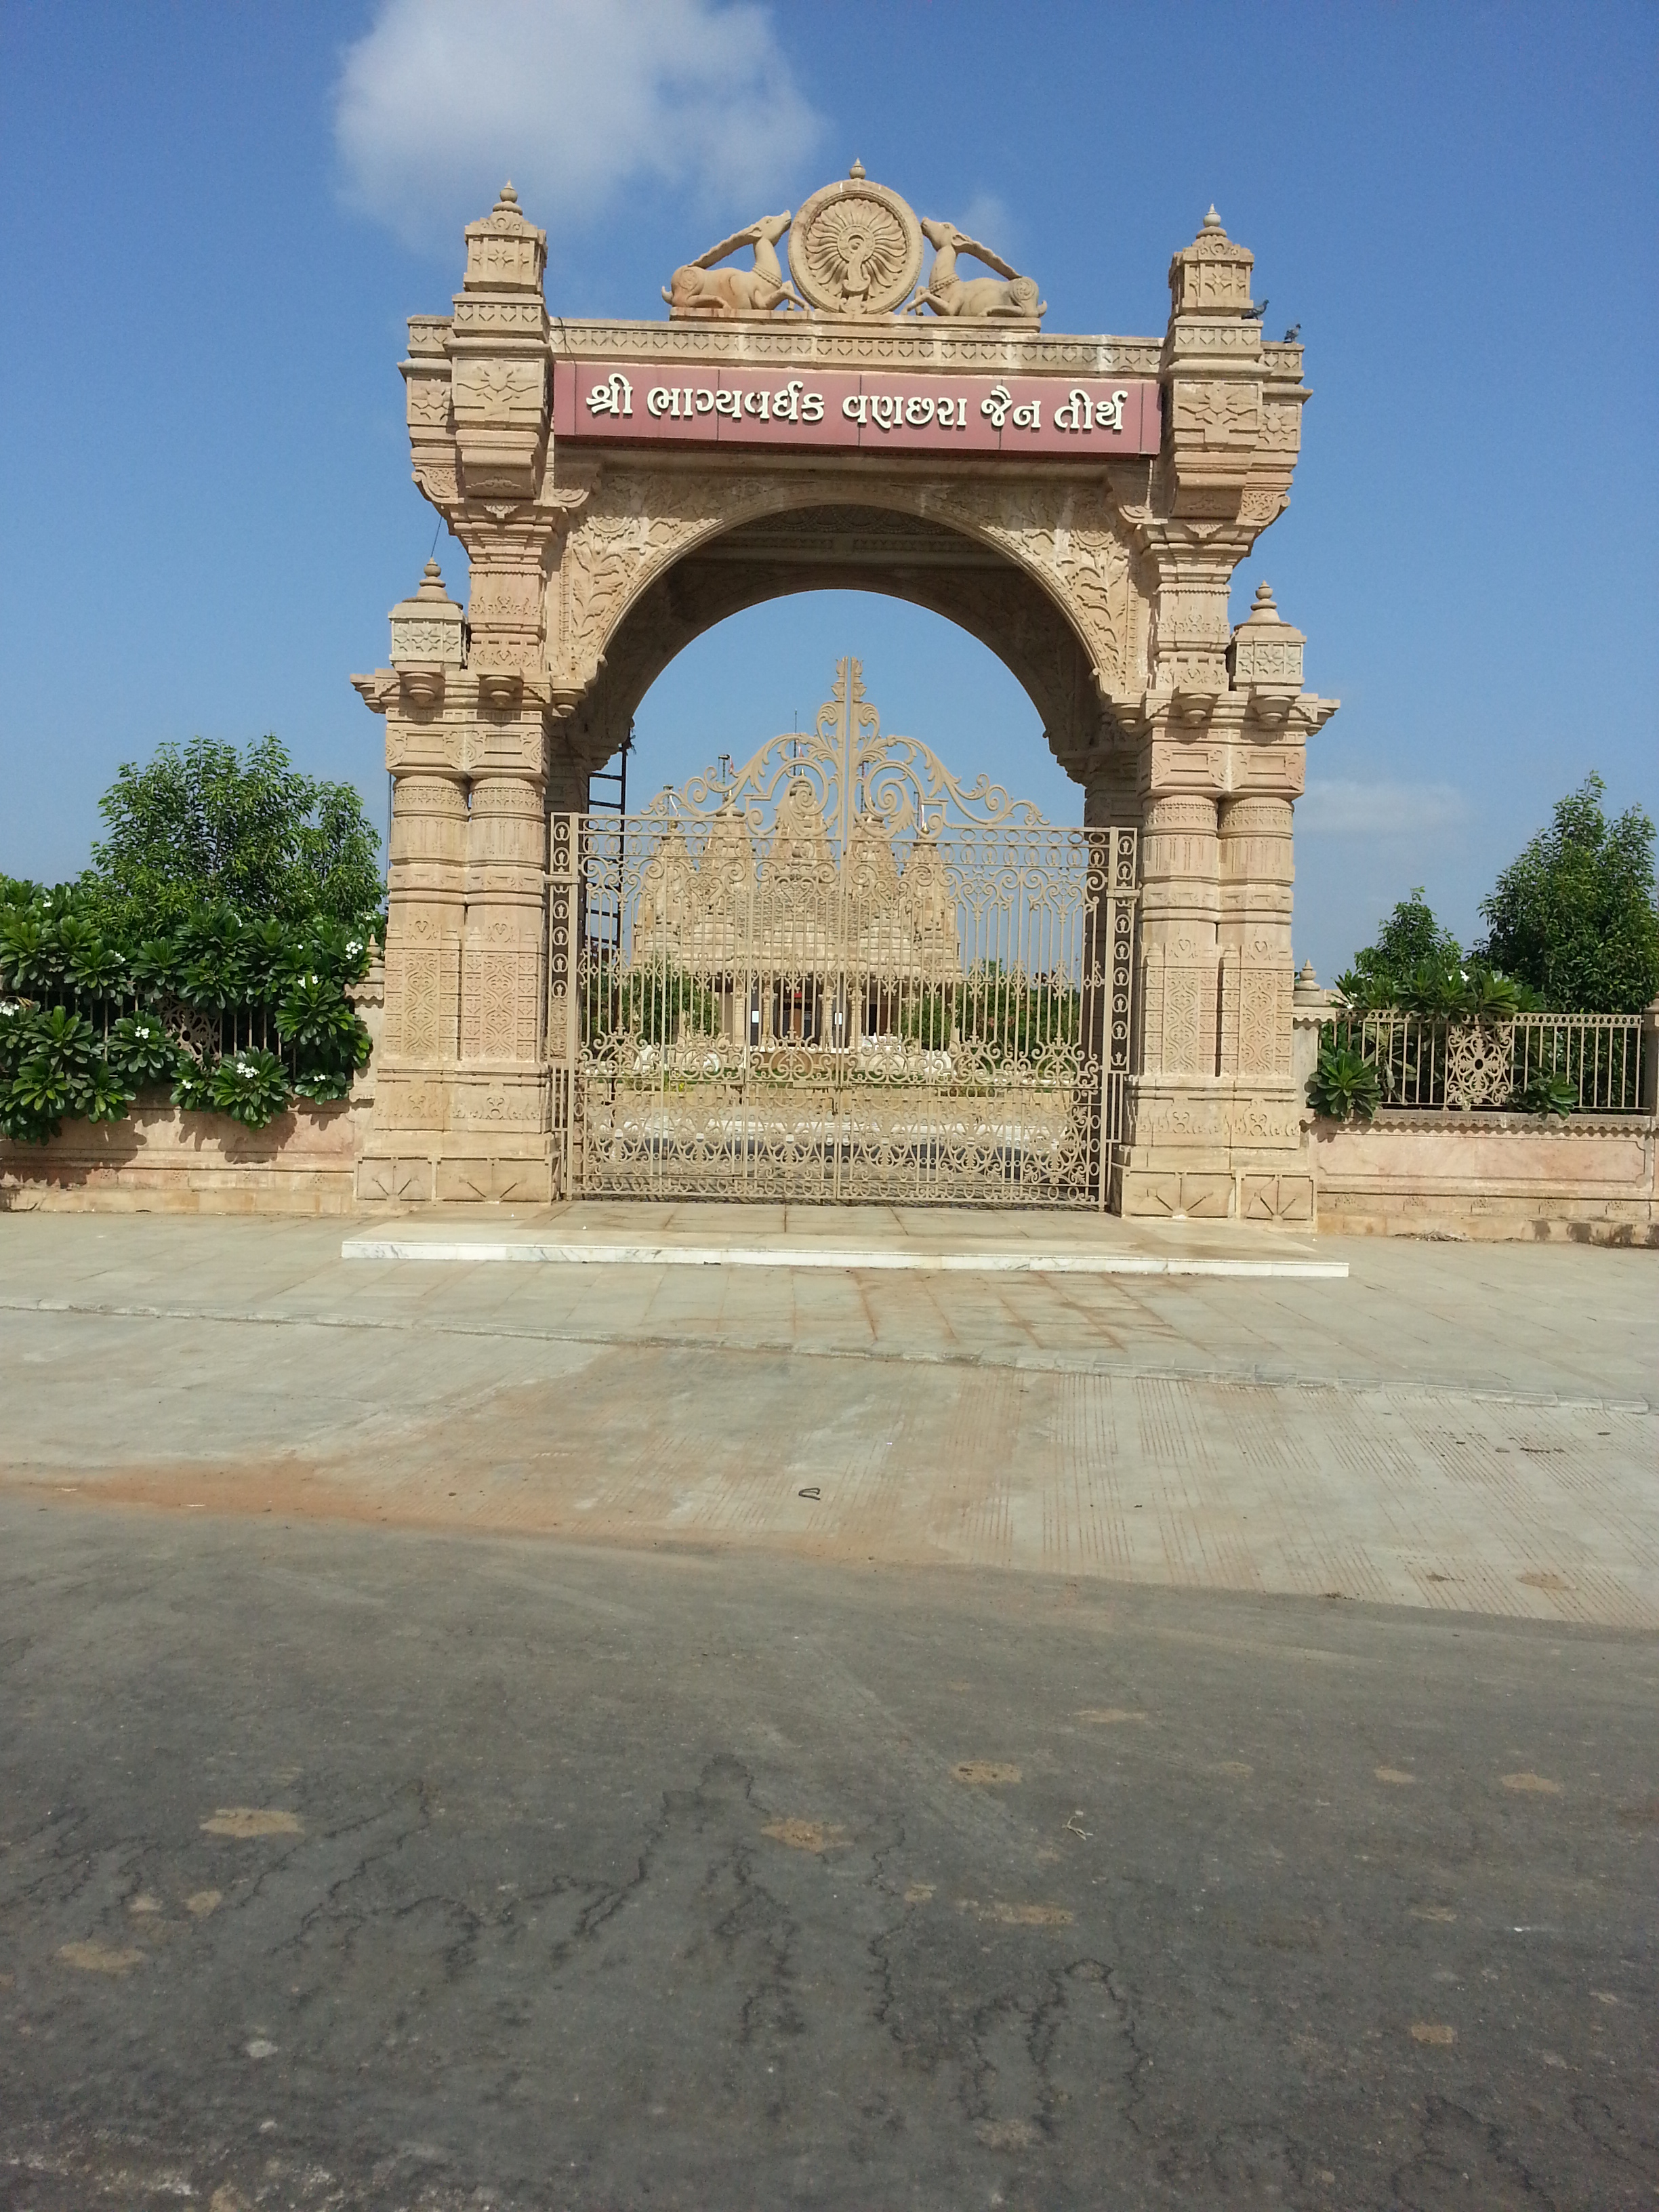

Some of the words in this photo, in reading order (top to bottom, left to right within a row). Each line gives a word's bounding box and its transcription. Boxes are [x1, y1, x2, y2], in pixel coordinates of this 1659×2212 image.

[573, 369, 638, 423] શ્રી
[641, 378, 832, 427] ભાગ્યવર્ધક
[835, 390, 972, 436] વણછરા
[974, 382, 1046, 436] જૈન
[1048, 387, 1135, 437] તીર્થ